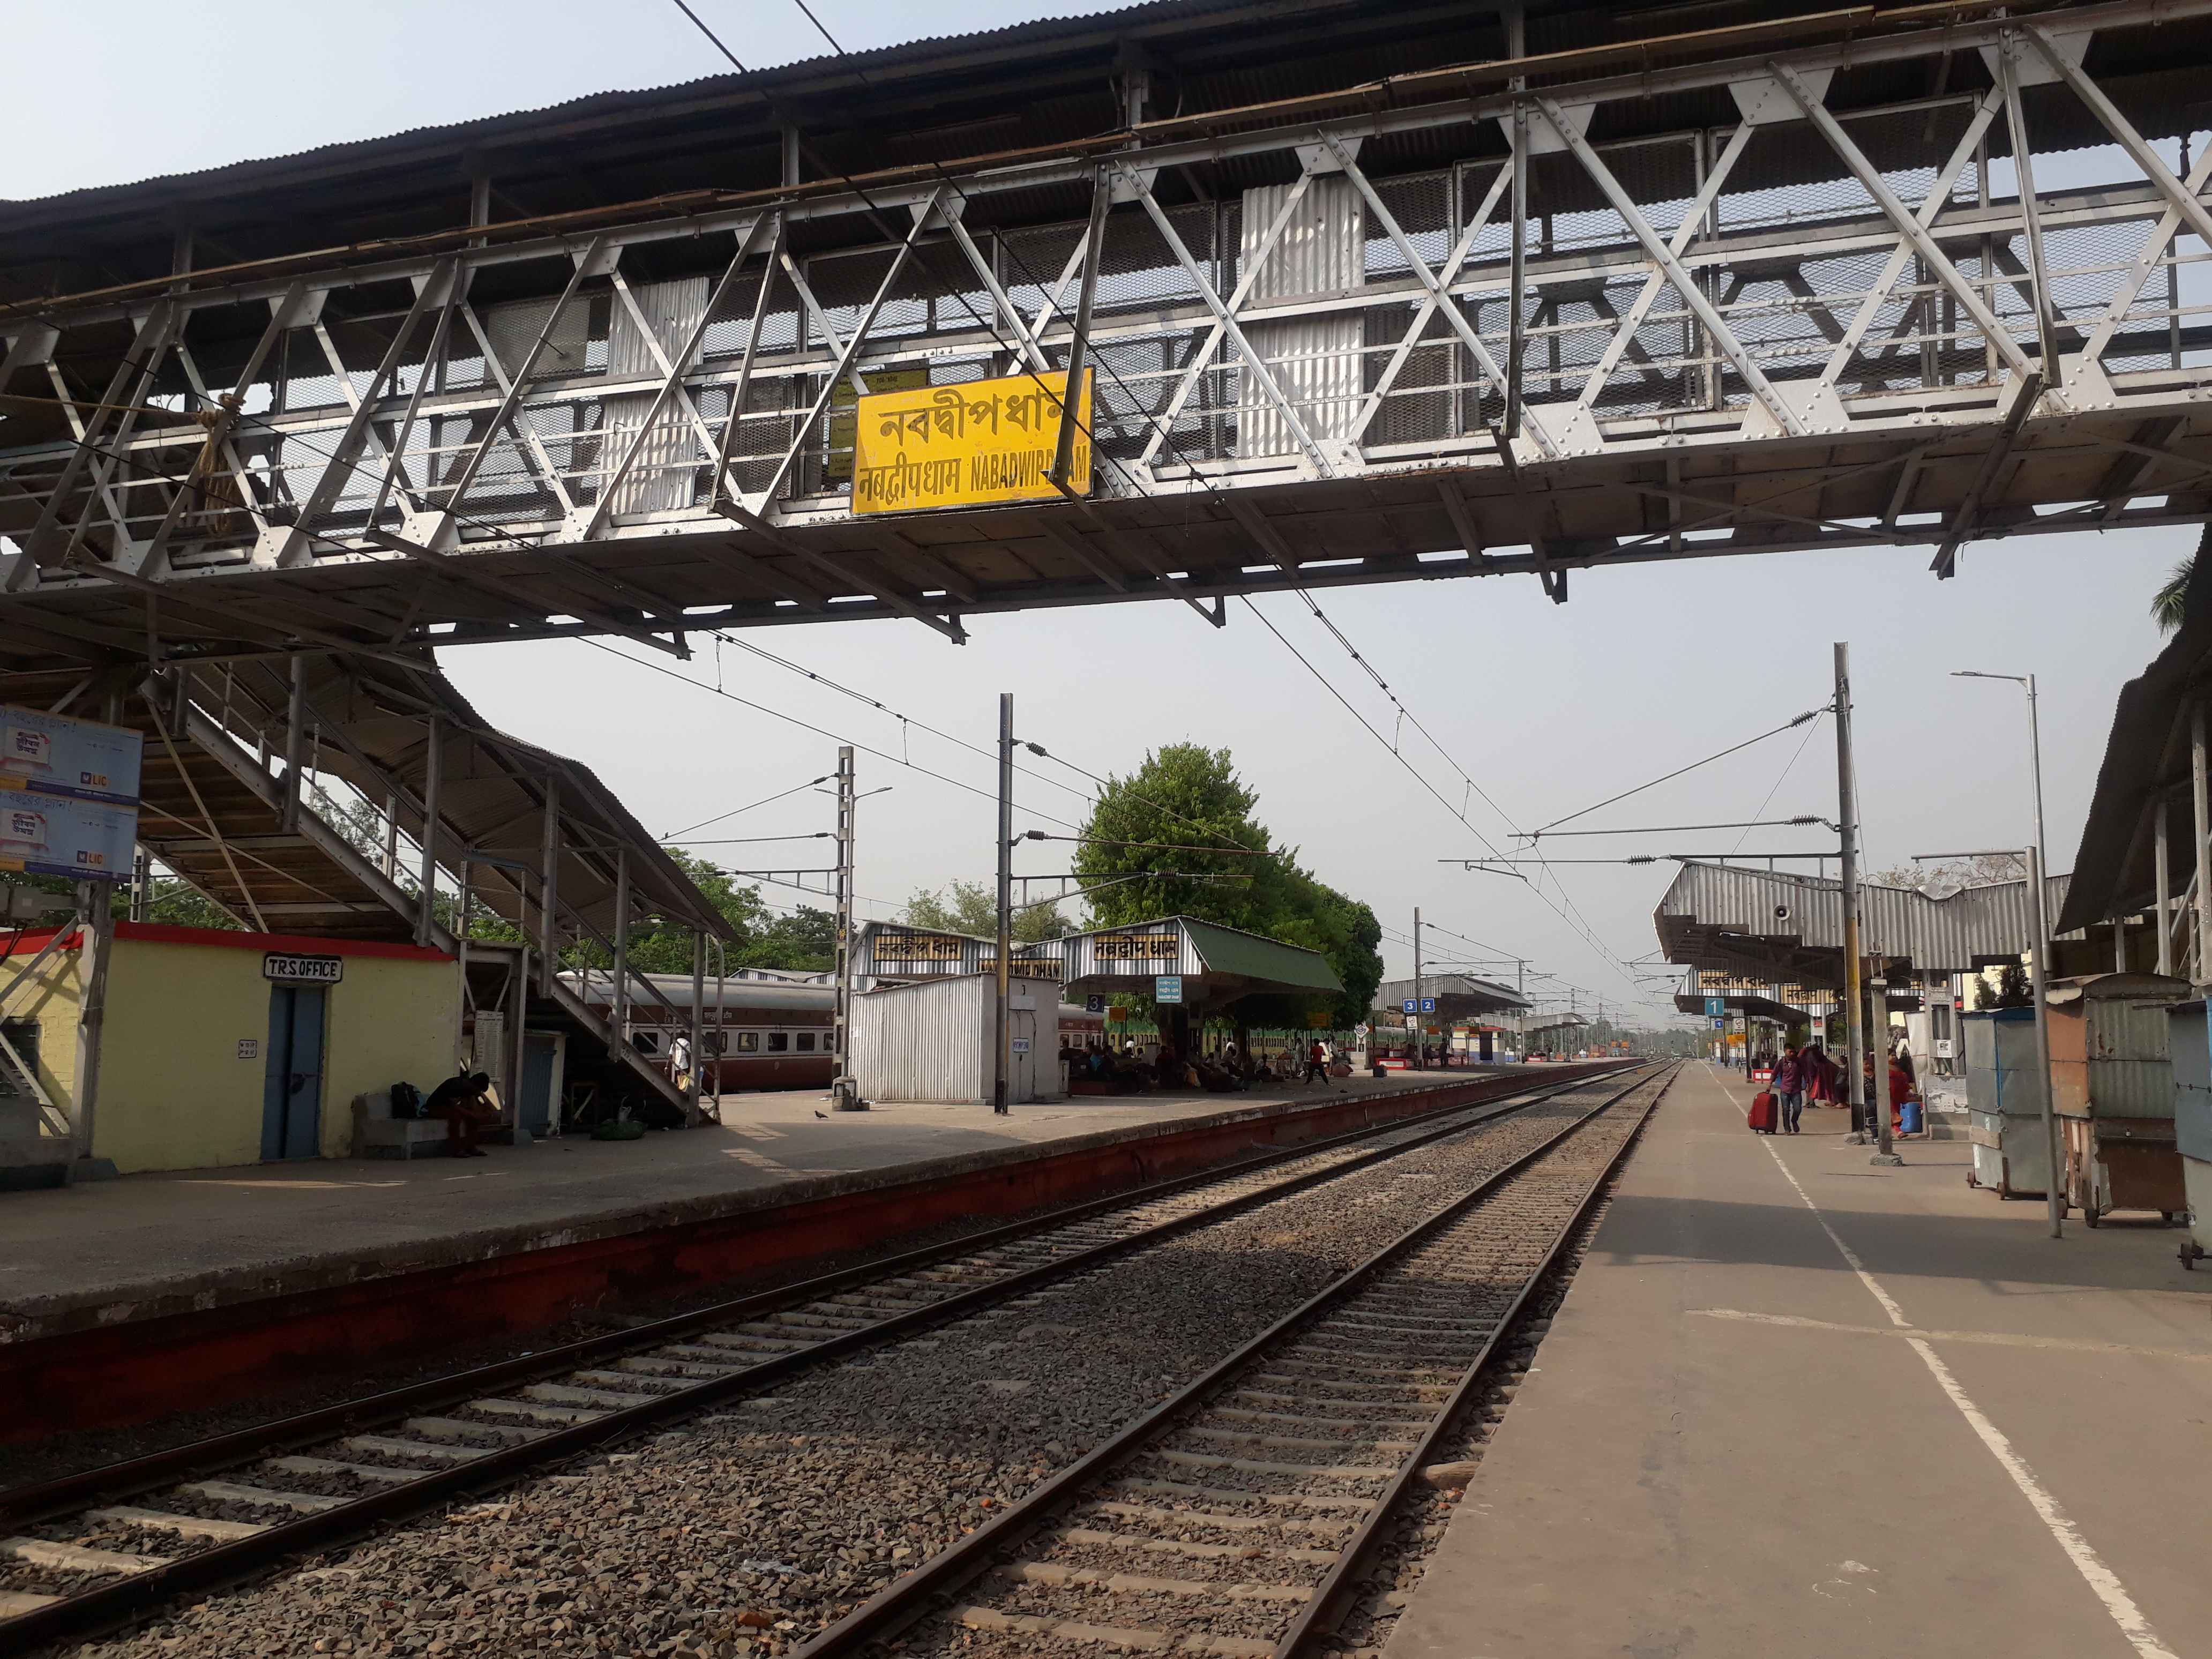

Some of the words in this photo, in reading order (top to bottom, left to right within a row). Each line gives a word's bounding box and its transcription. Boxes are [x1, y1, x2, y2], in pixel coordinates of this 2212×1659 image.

[871, 370, 1073, 452] নবদ্বীপ ধাম
[853, 444, 926, 507] नबद्वीप
[921, 452, 966, 500] धाम
[967, 442, 1090, 492] NABADWIP M
[88, 771, 110, 788] LIC
[82, 849, 105, 865] LIC
[875, 933, 932, 957] নবদ্বীপ
[929, 934, 961, 960] ধাম
[1093, 933, 1151, 960] नबद्वीप
[1144, 933, 1182, 960] धाम
[268, 952, 299, 977] T.R.S.
[295, 954, 341, 980] OFFICE
[1155, 982, 1174, 996] नबद्वीप
[1170, 984, 1180, 994] धाम